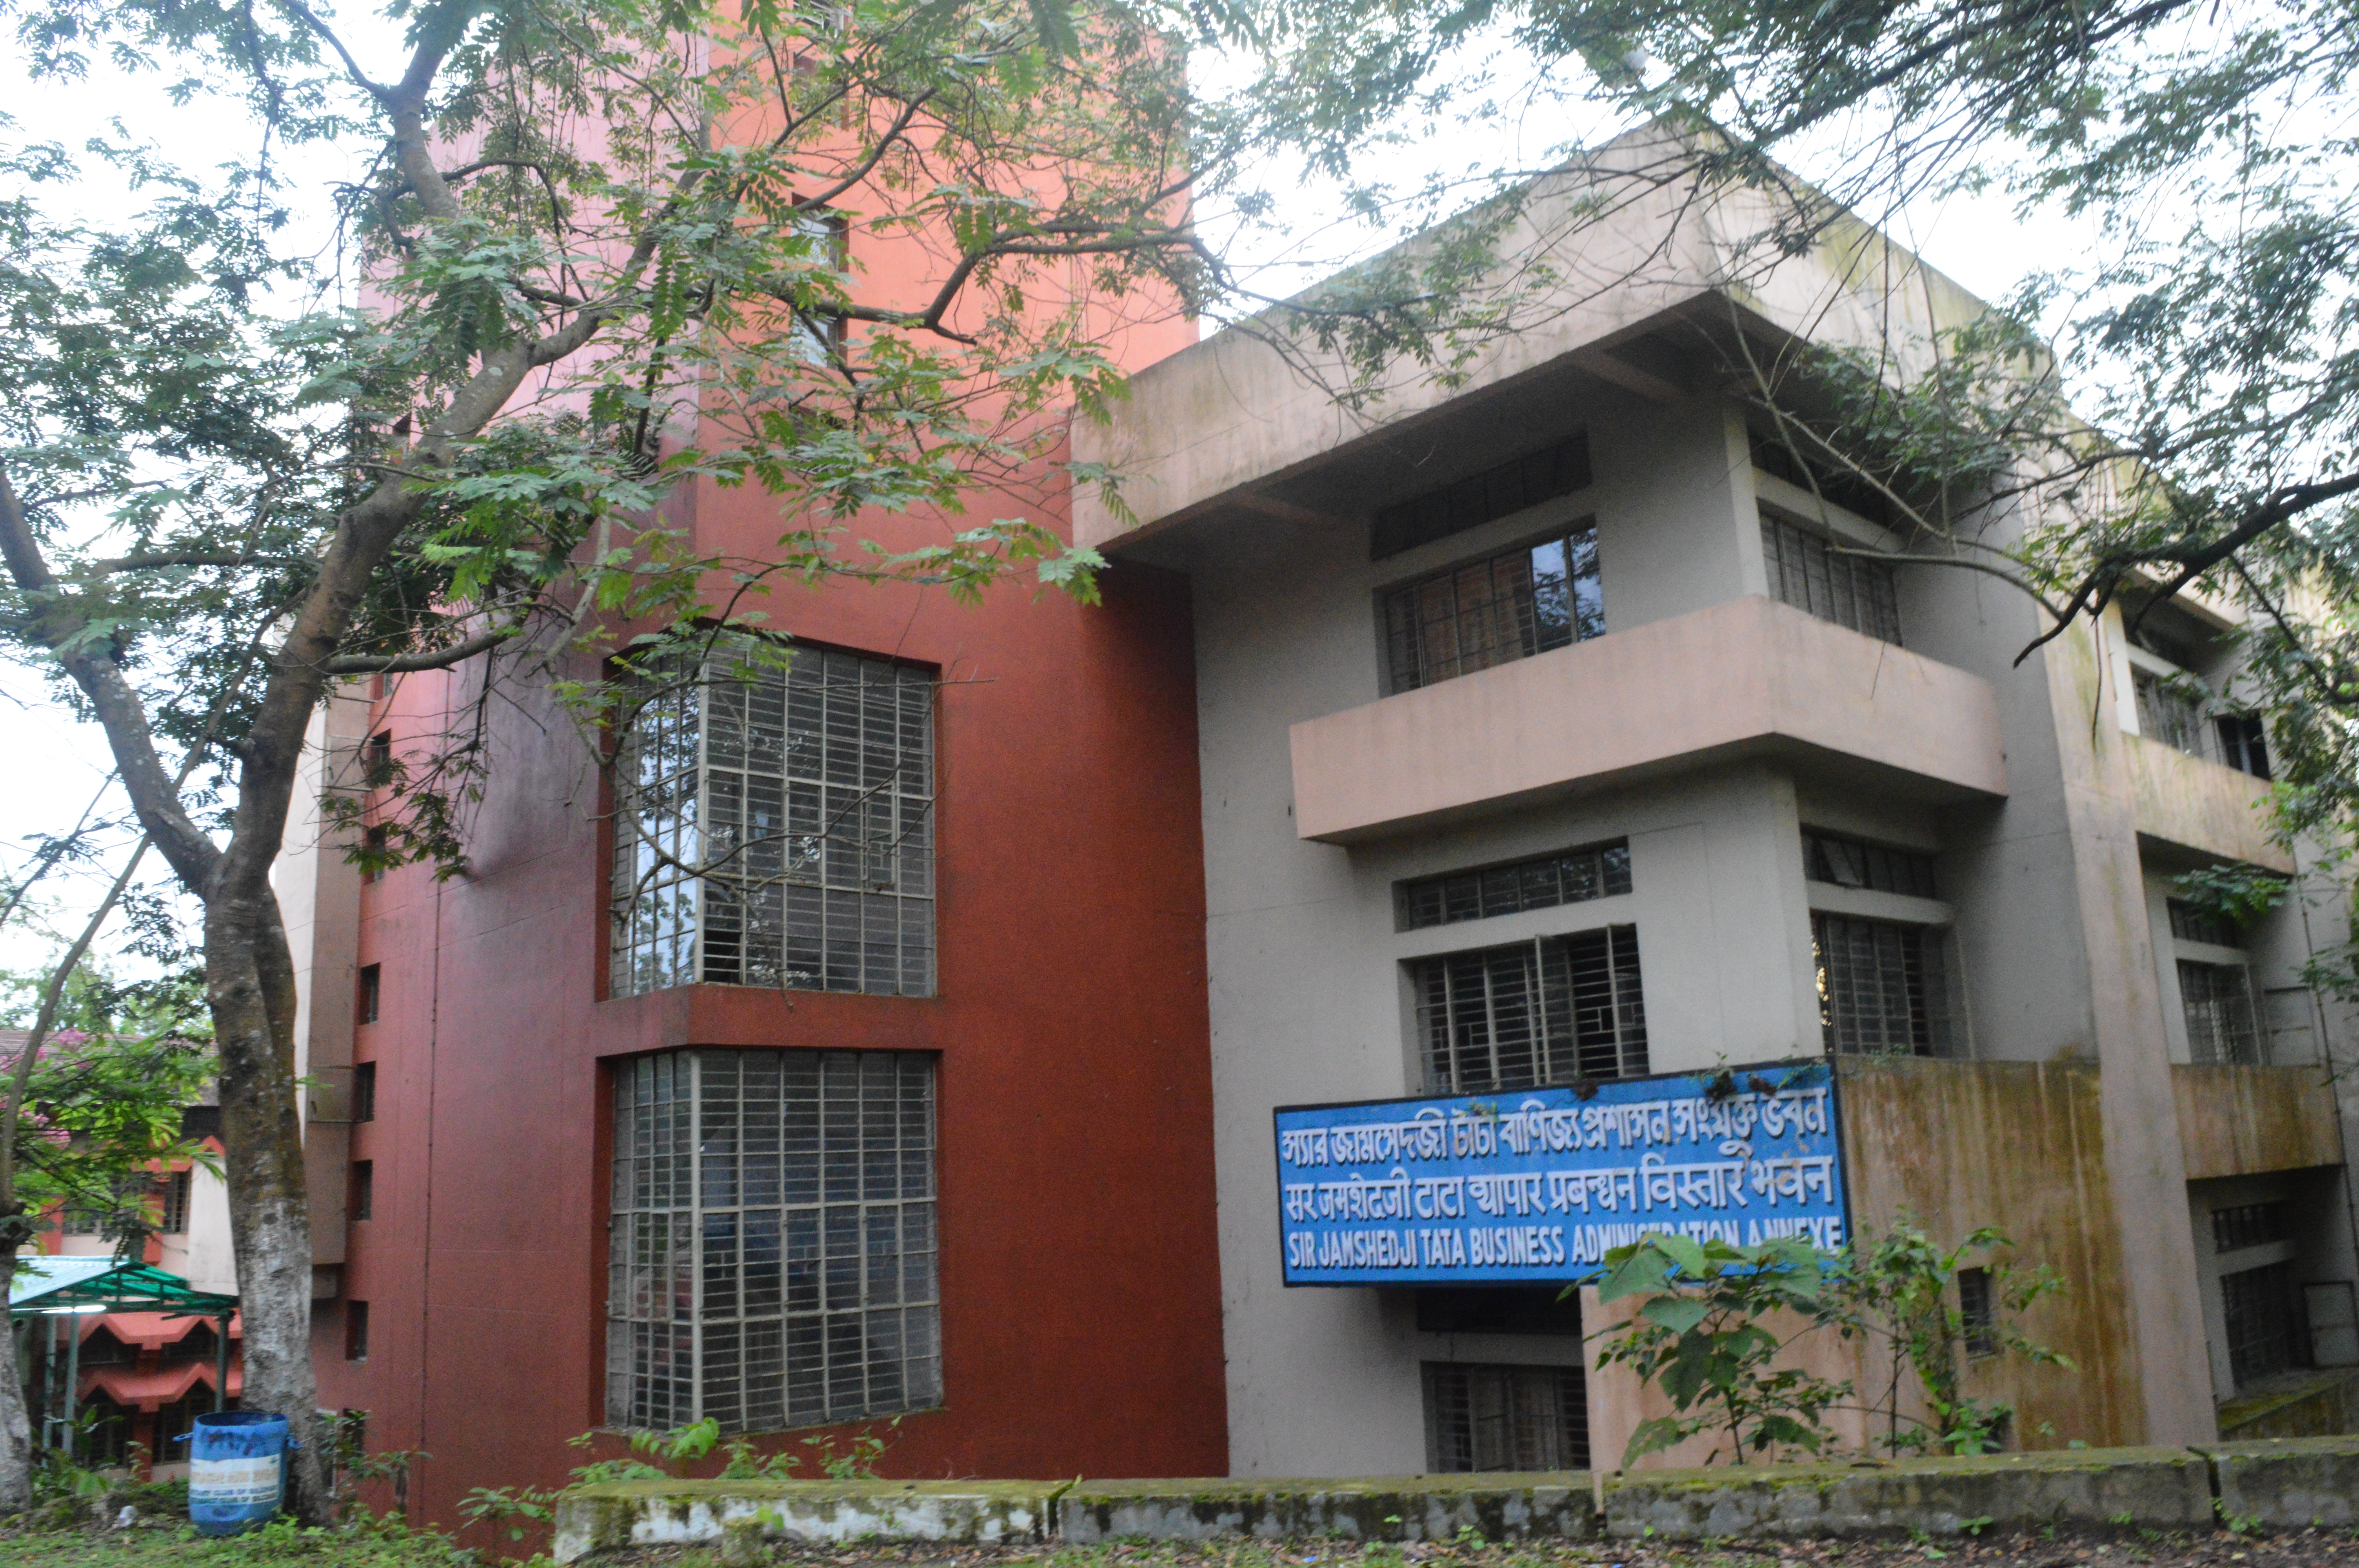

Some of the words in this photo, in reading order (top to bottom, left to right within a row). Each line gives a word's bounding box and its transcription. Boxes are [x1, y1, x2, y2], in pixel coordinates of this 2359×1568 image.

[1276, 1120, 1338, 1173] স্যার
[1329, 1103, 1454, 1173] জামসেদজী
[1445, 1103, 1503, 1163] টাঢা
[1497, 1093, 1586, 1160] বাণিজ্য
[1579, 1096, 1677, 1153] প্ৰশাসন
[1667, 1088, 1761, 1163] সংযুক্ত
[1756, 1081, 1832, 1141] ভবন
[1278, 1175, 1323, 1228] स‍र
[1315, 1158, 1415, 1222] जमशेदजी
[1414, 1169, 1474, 1223] टाटा
[1467, 1169, 1554, 1223] व्यापार
[1540, 1161, 1644, 1216] प्रबन्धन
[1628, 1145, 1753, 1216] विस्तार
[1746, 1148, 1840, 1214] भवन
[1281, 1226, 1327, 1270] SIR
[1310, 1224, 1423, 1271] JAMSHEDJI
[1416, 1221, 1471, 1271] TATA
[1463, 1218, 1570, 1270] BUSINESS